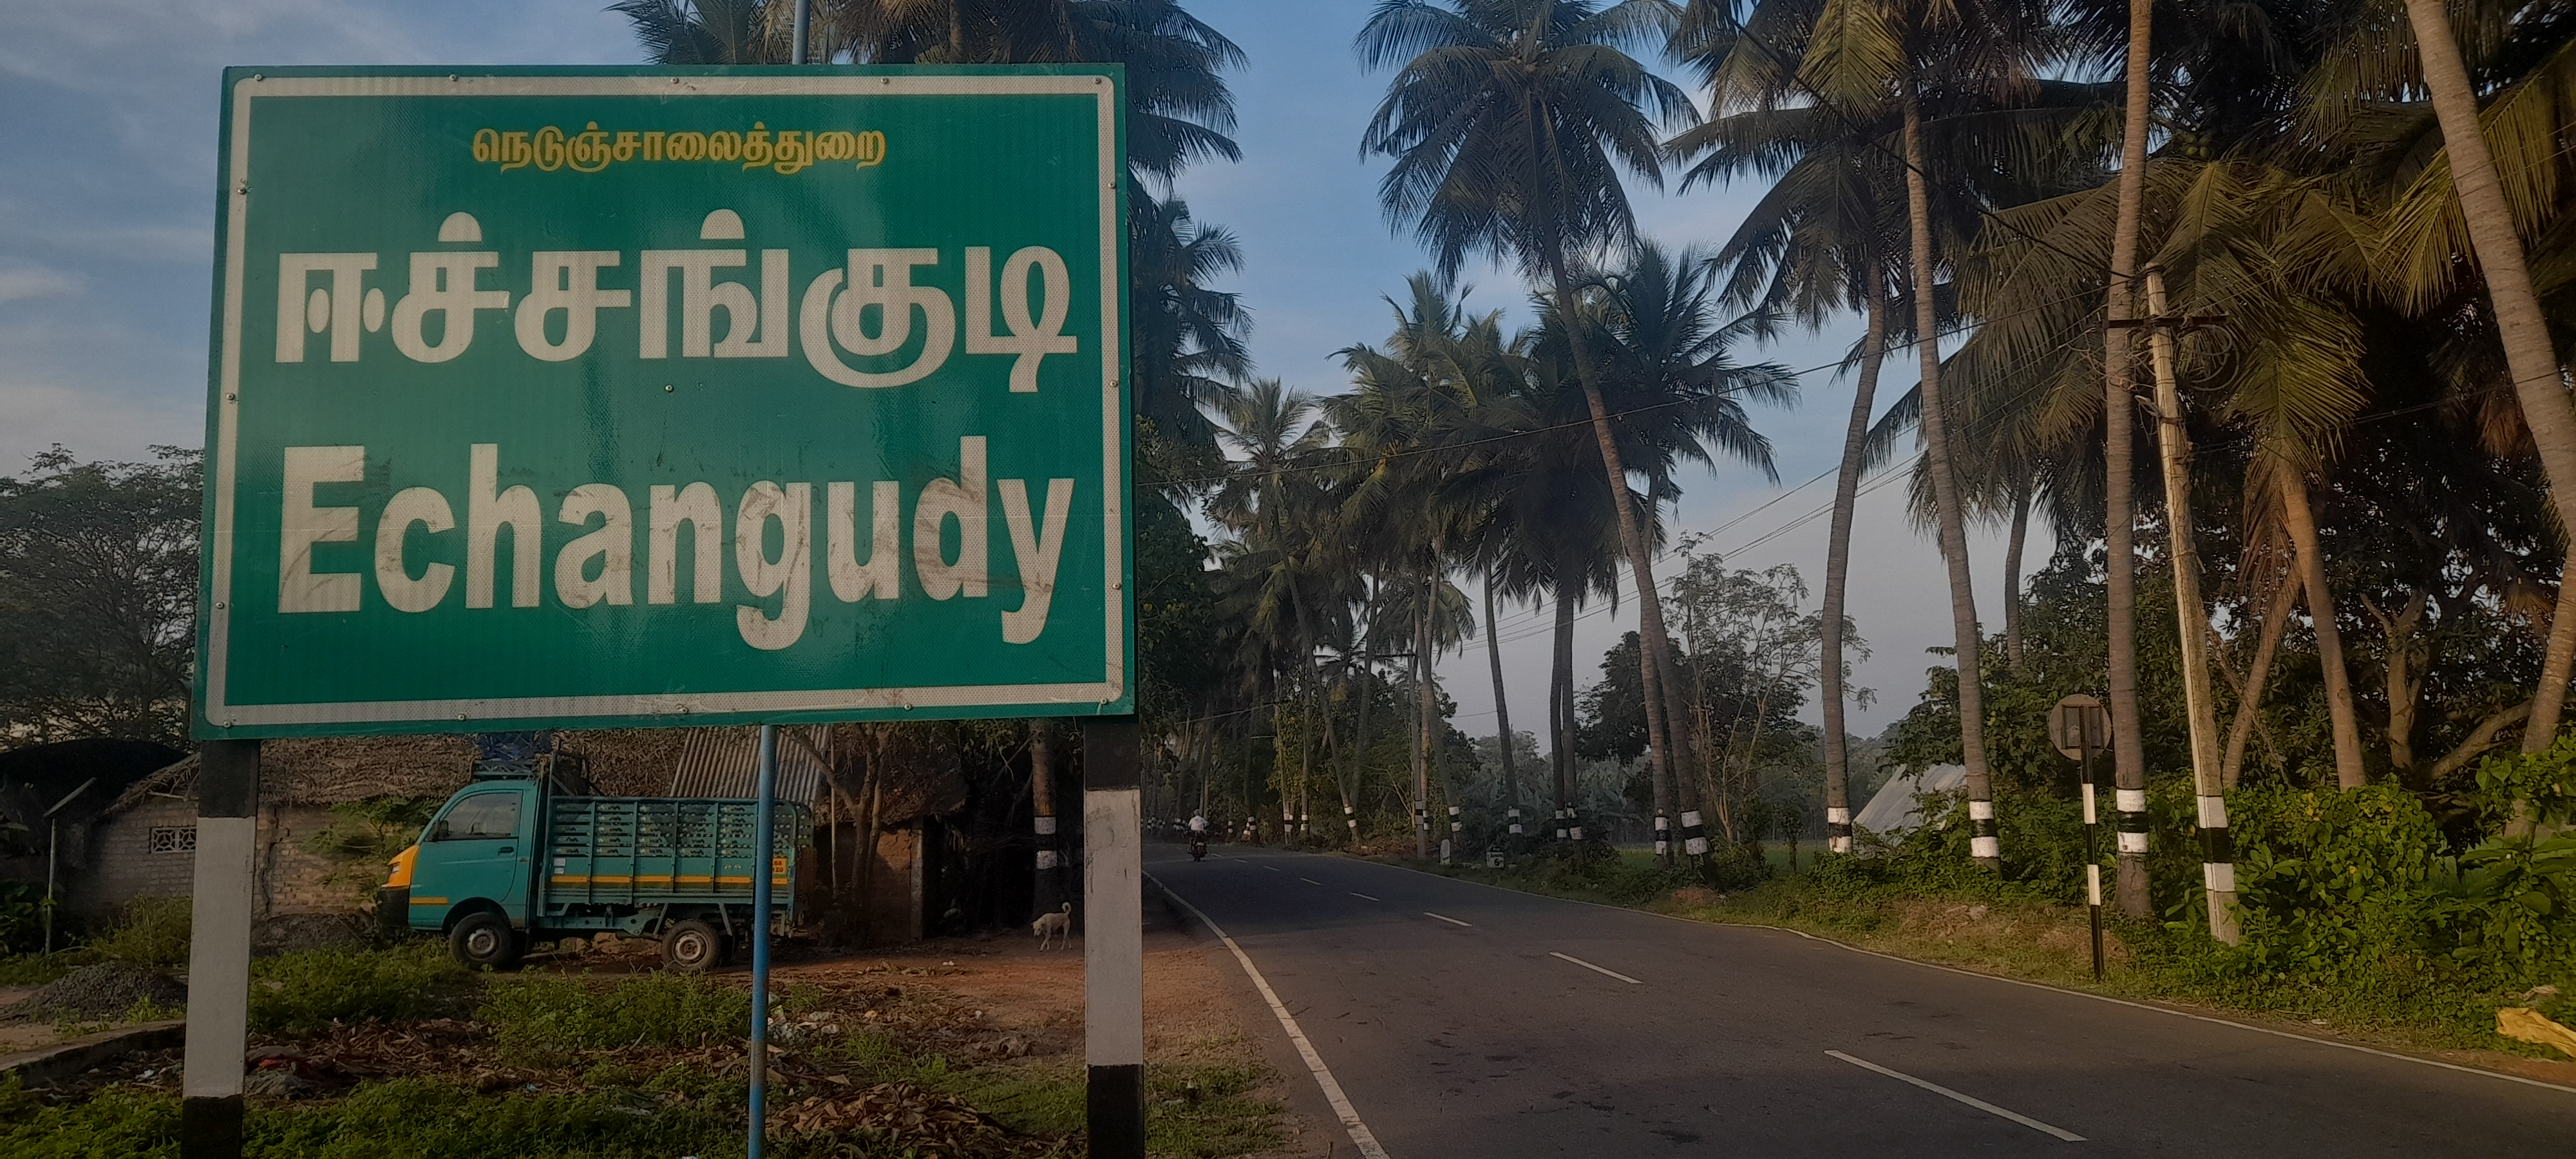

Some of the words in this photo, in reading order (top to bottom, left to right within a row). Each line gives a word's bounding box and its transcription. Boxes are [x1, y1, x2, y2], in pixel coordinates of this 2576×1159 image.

[468, 115, 893, 179] நெடுஞ்சாலைத்துறை
[270, 200, 1085, 399] ஈச்சங்குடி
[270, 429, 1079, 654] Echangudy